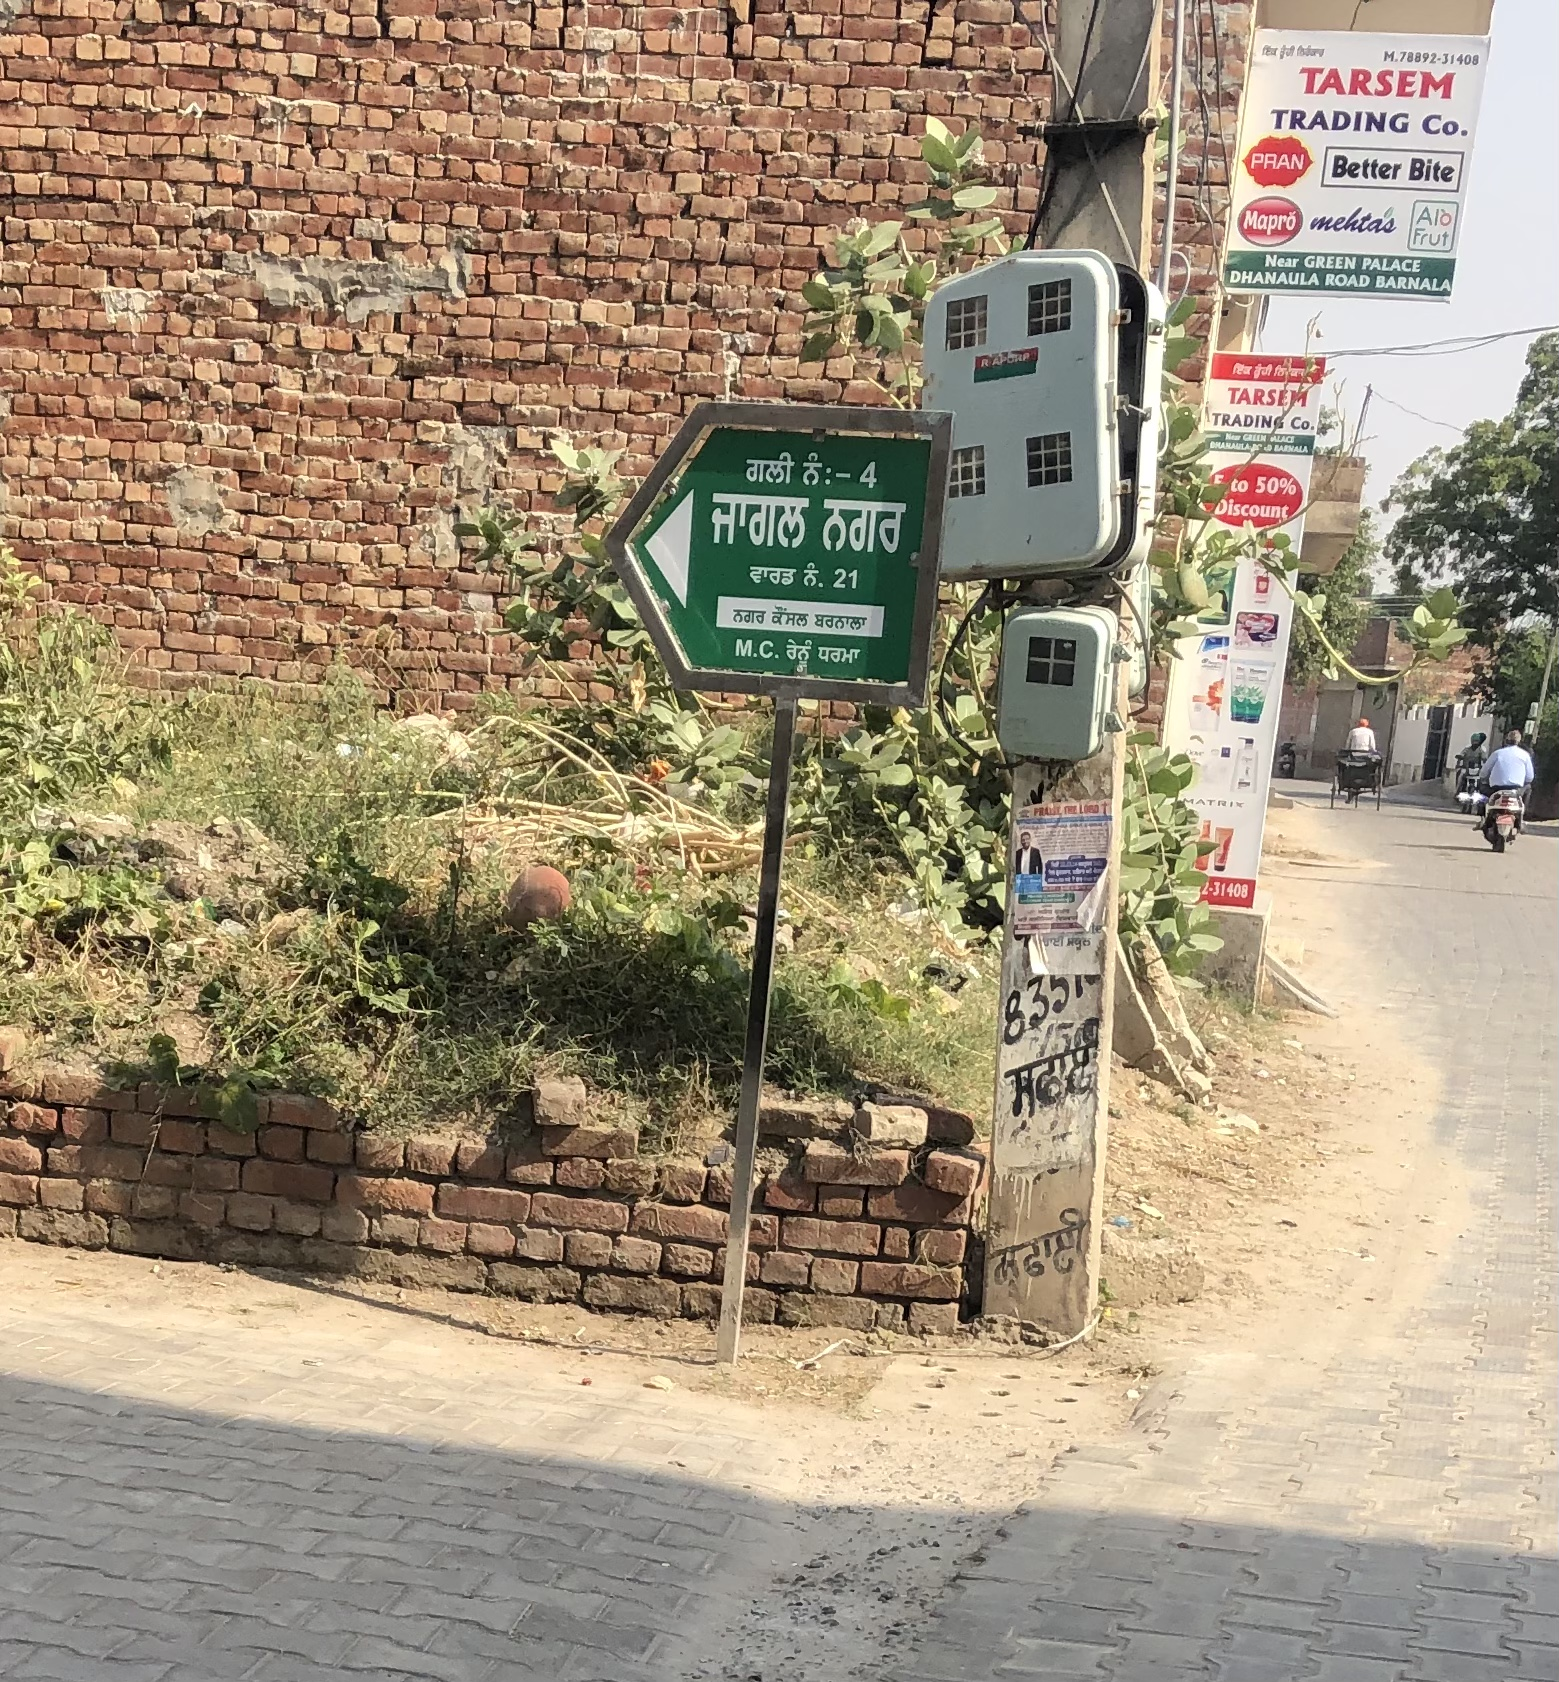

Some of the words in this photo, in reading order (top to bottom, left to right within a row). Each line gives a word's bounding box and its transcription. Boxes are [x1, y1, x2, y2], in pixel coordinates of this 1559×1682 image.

[1375, 47, 1397, 67] M
[1395, 46, 1484, 73] 78892-31408
[1293, 64, 1461, 105] TARSEM
[1264, 104, 1413, 136] TRADING
[1415, 112, 1471, 142] Co.
[1247, 143, 1311, 181] PRAN
[1327, 149, 1407, 185] Better
[1405, 153, 1461, 189] Bite
[1239, 202, 1303, 244] Mapro
[1307, 202, 1401, 236] mehtas
[1408, 224, 1453, 251] Frut
[1411, 203, 1457, 229] Alo
[1224, 267, 1323, 289] DHANAULA
[1259, 252, 1302, 269] Near
[1301, 253, 1359, 271] GREEN
[1321, 271, 1373, 289] ROAD
[1359, 254, 1428, 274] PALACE
[1371, 273, 1454, 298] BARNALA
[1219, 384, 1313, 411] TARSEM
[1207, 409, 1289, 433] TRADING
[1289, 410, 1317, 437] Co.
[739, 447, 799, 487] ਗਲੀ
[797, 448, 824, 490] ਨੰ
[855, 455, 885, 491] 4
[1227, 475, 1253, 495] to
[1253, 467, 1300, 501] 50%
[703, 487, 815, 551] ਜਾਗਲ
[811, 491, 913, 560] ਨਗਰ
[1213, 494, 1293, 523] Discount
[745, 558, 799, 591] ਵਾਰਡ
[798, 557, 826, 594] ਨੰ.
[829, 565, 863, 595] 21
[727, 605, 768, 627] ਨਗਰ
[767, 603, 812, 629] ਕੌਂਸਲ
[811, 609, 871, 635] ਬਰਨਾਲਾ
[729, 635, 782, 663] M.C.
[781, 633, 815, 671] ਰੇਨੂੰ
[815, 637, 863, 668] ਧਰਮਾ
[1211, 877, 1253, 904] 31408
[1000, 967, 1053, 1053] 83
[987, 1201, 1092, 1309] ਮਫਾਈ